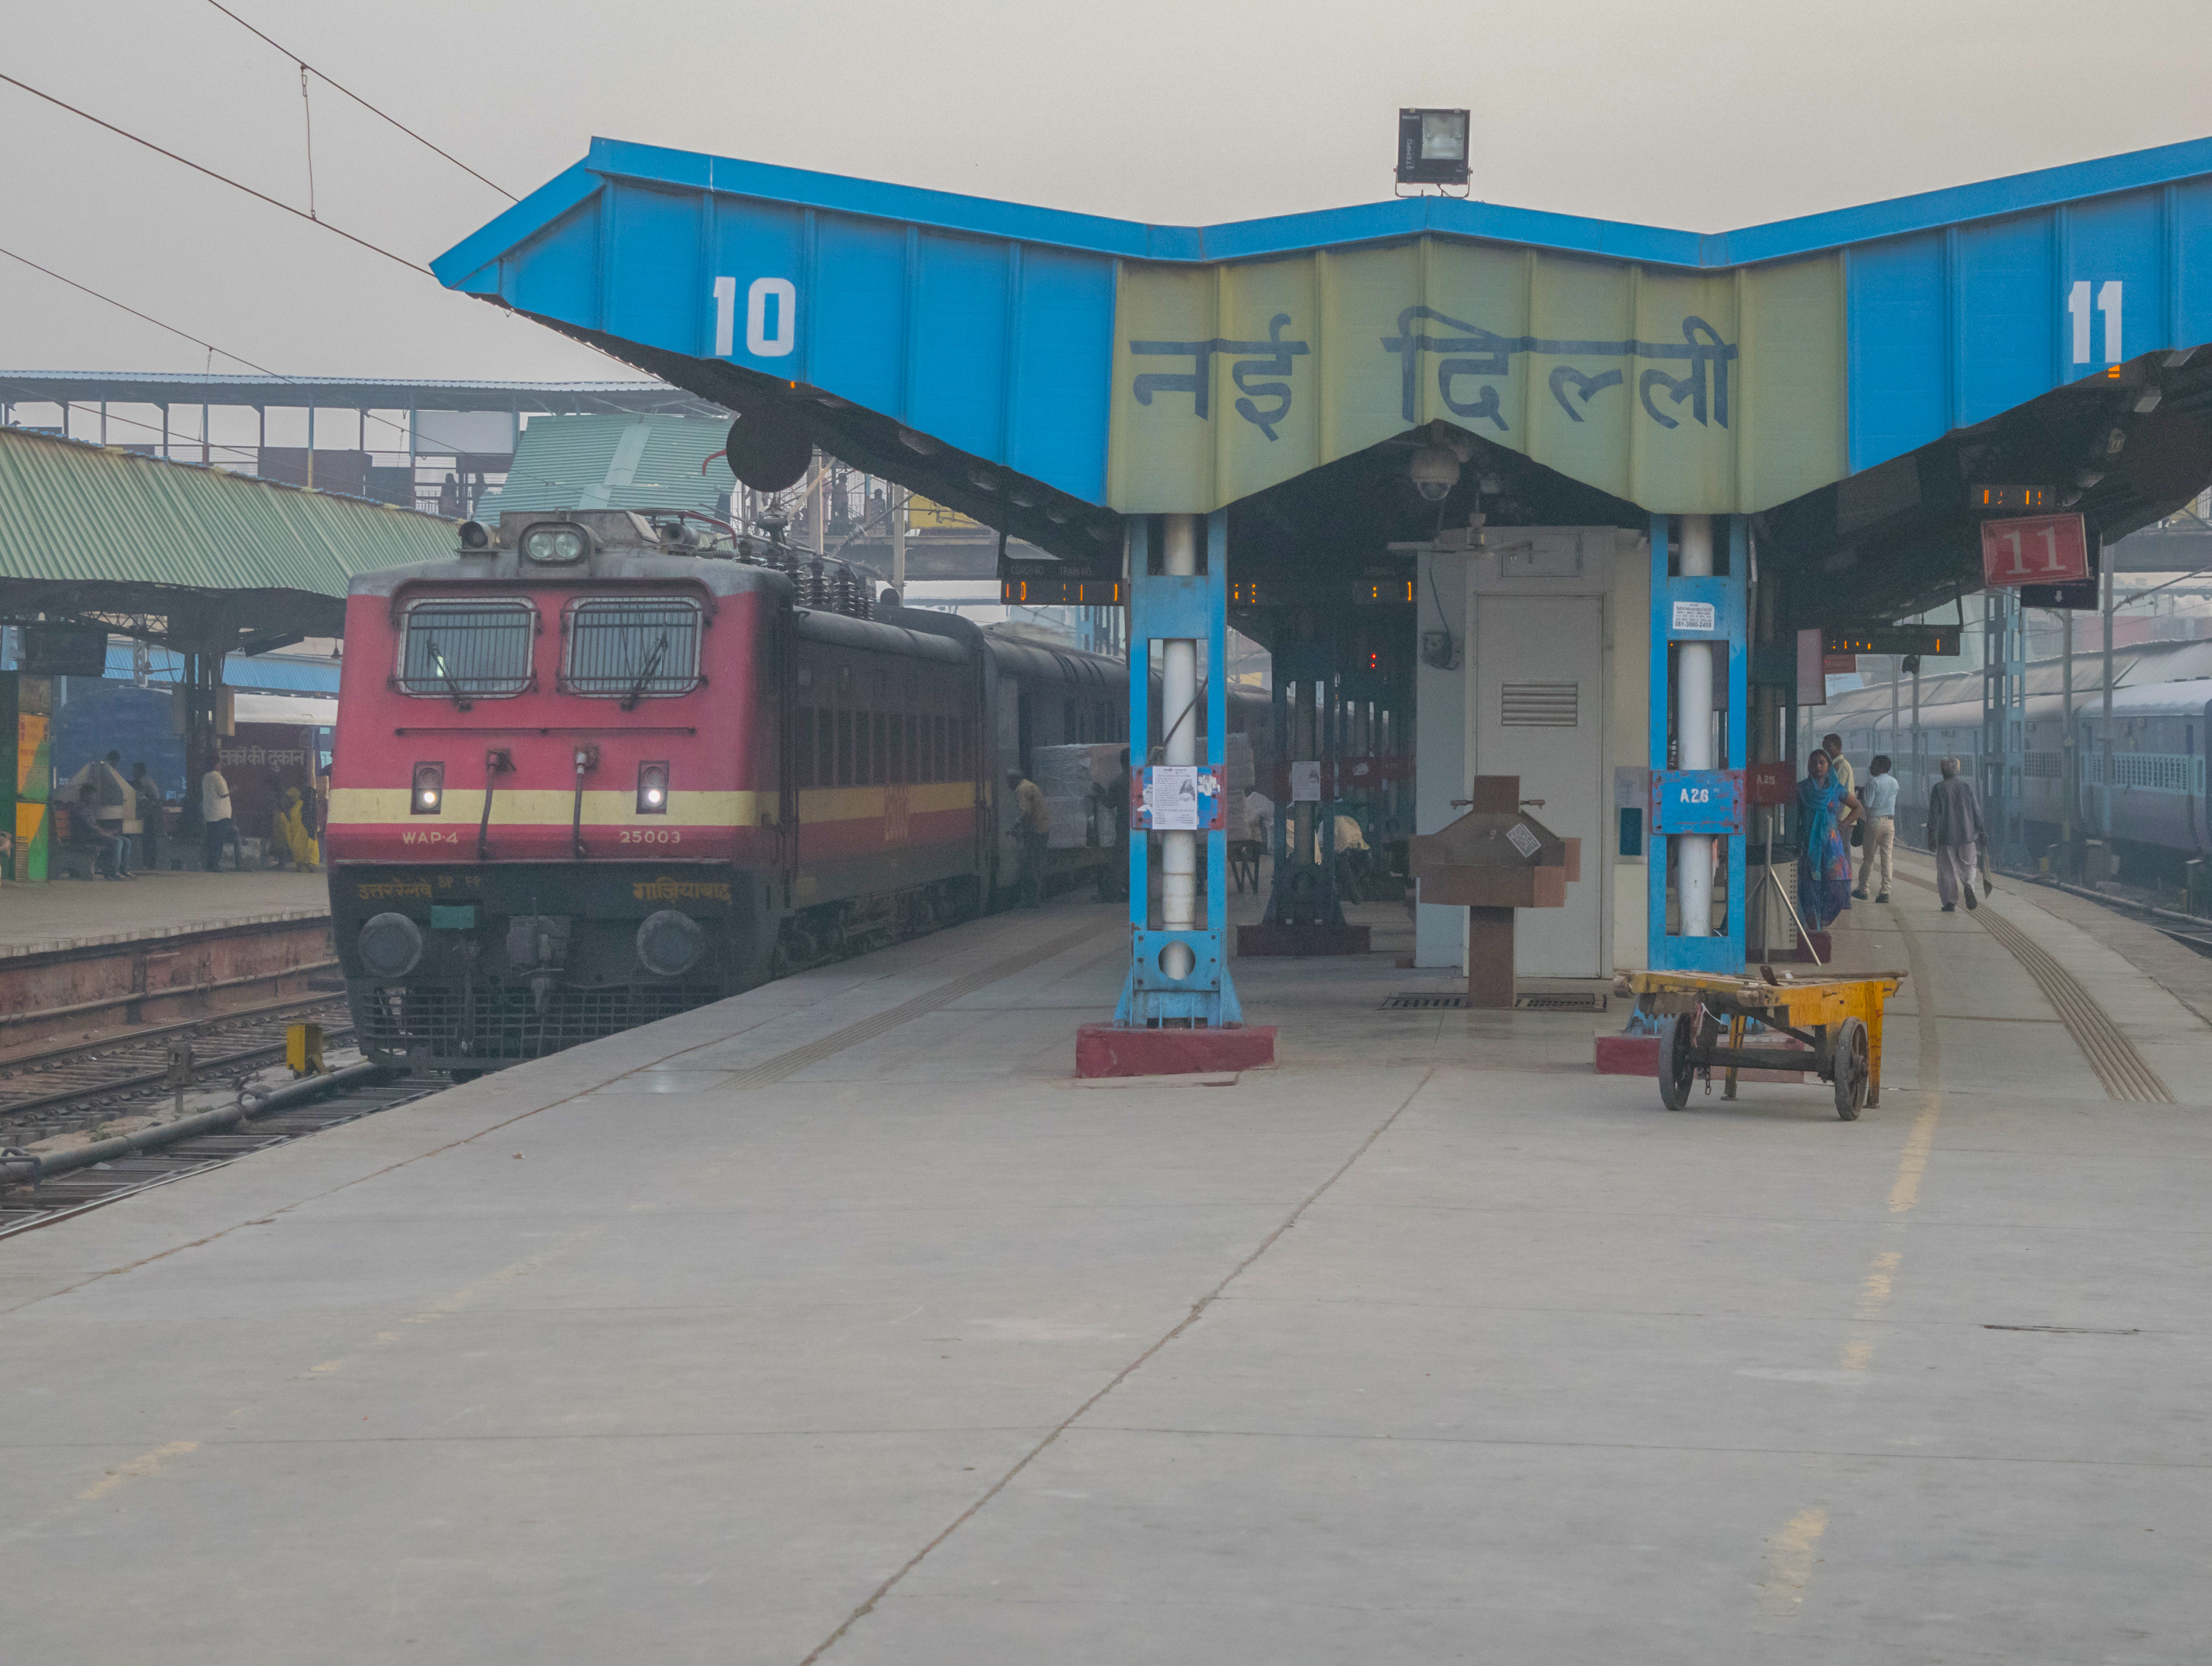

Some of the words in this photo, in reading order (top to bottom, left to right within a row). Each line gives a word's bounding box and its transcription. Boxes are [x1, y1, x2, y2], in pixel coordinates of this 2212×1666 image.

[684, 263, 808, 369] 10
[1122, 305, 1314, 445] नई
[1377, 297, 1741, 437] दिल्ली
[238, 740, 266, 769] की
[263, 746, 308, 777] दुकान
[398, 824, 462, 848] WAP-4
[616, 823, 686, 848] 25003
[353, 867, 437, 902] उत्तररेलवे
[625, 871, 736, 908] गाज़ियाबाद